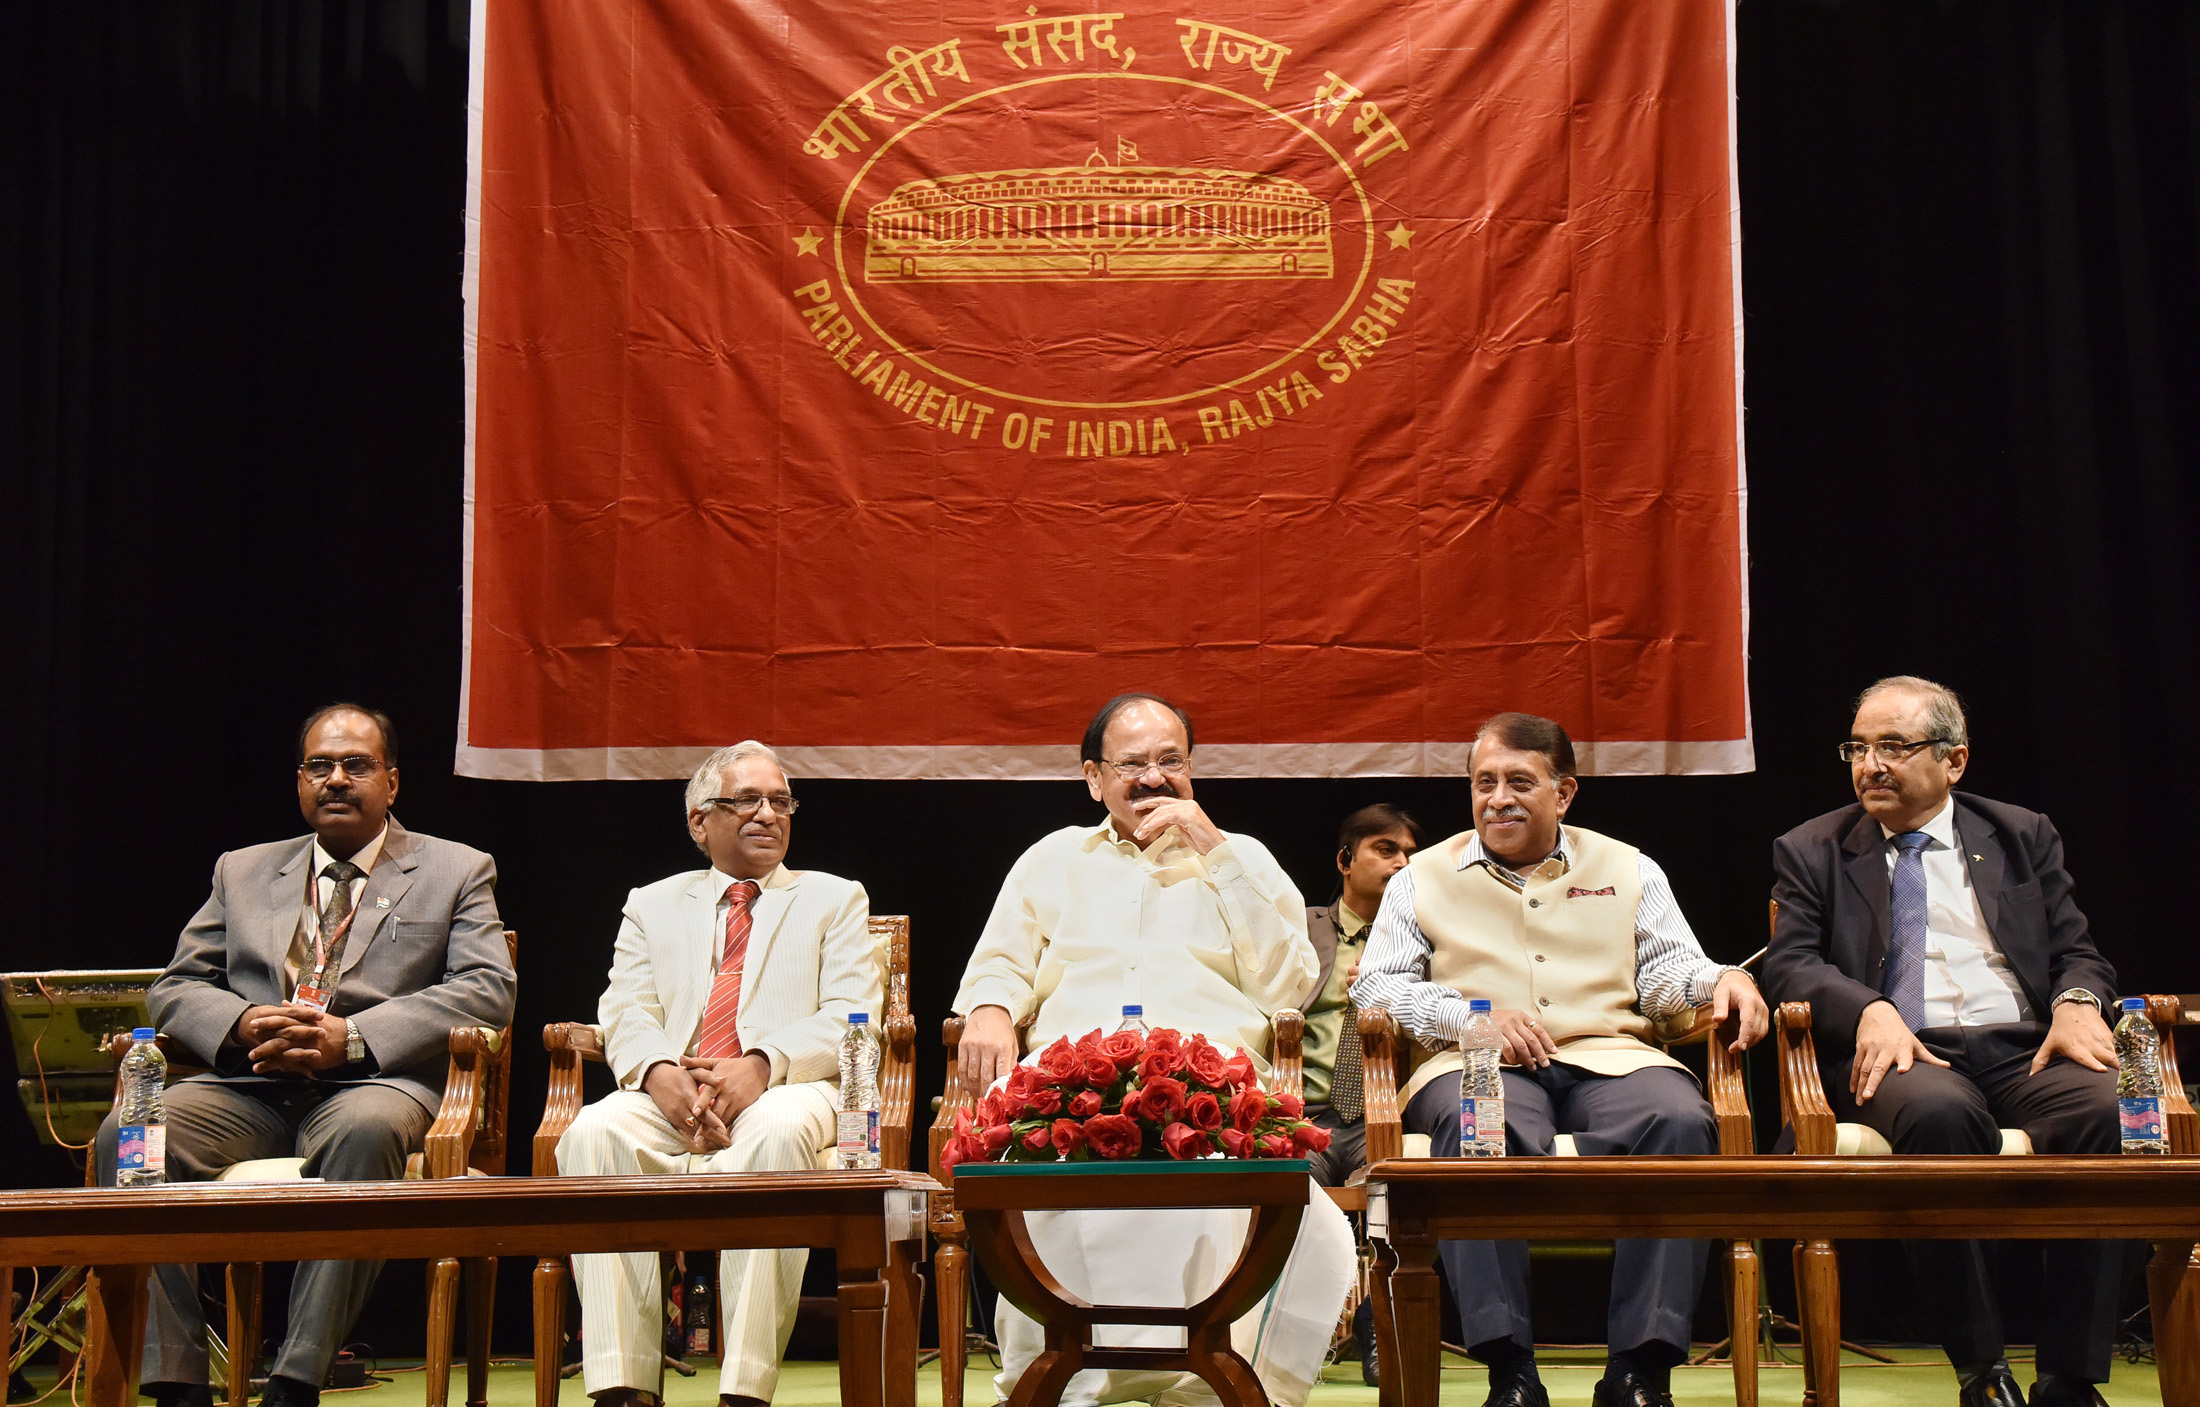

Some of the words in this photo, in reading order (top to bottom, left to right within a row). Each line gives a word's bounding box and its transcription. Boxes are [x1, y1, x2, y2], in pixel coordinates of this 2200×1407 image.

[992, 1, 1126, 73] संसद
[1169, 15, 1293, 97] राज्य
[794, 34, 973, 172] भारतीय
[1303, 68, 1414, 177] सभा
[785, 274, 997, 447] PARLIAMENT
[1311, 273, 1424, 391] SABHA
[993, 403, 1057, 461] OF
[1059, 415, 1180, 461] INDIA
[1193, 363, 1332, 449] RAJYA